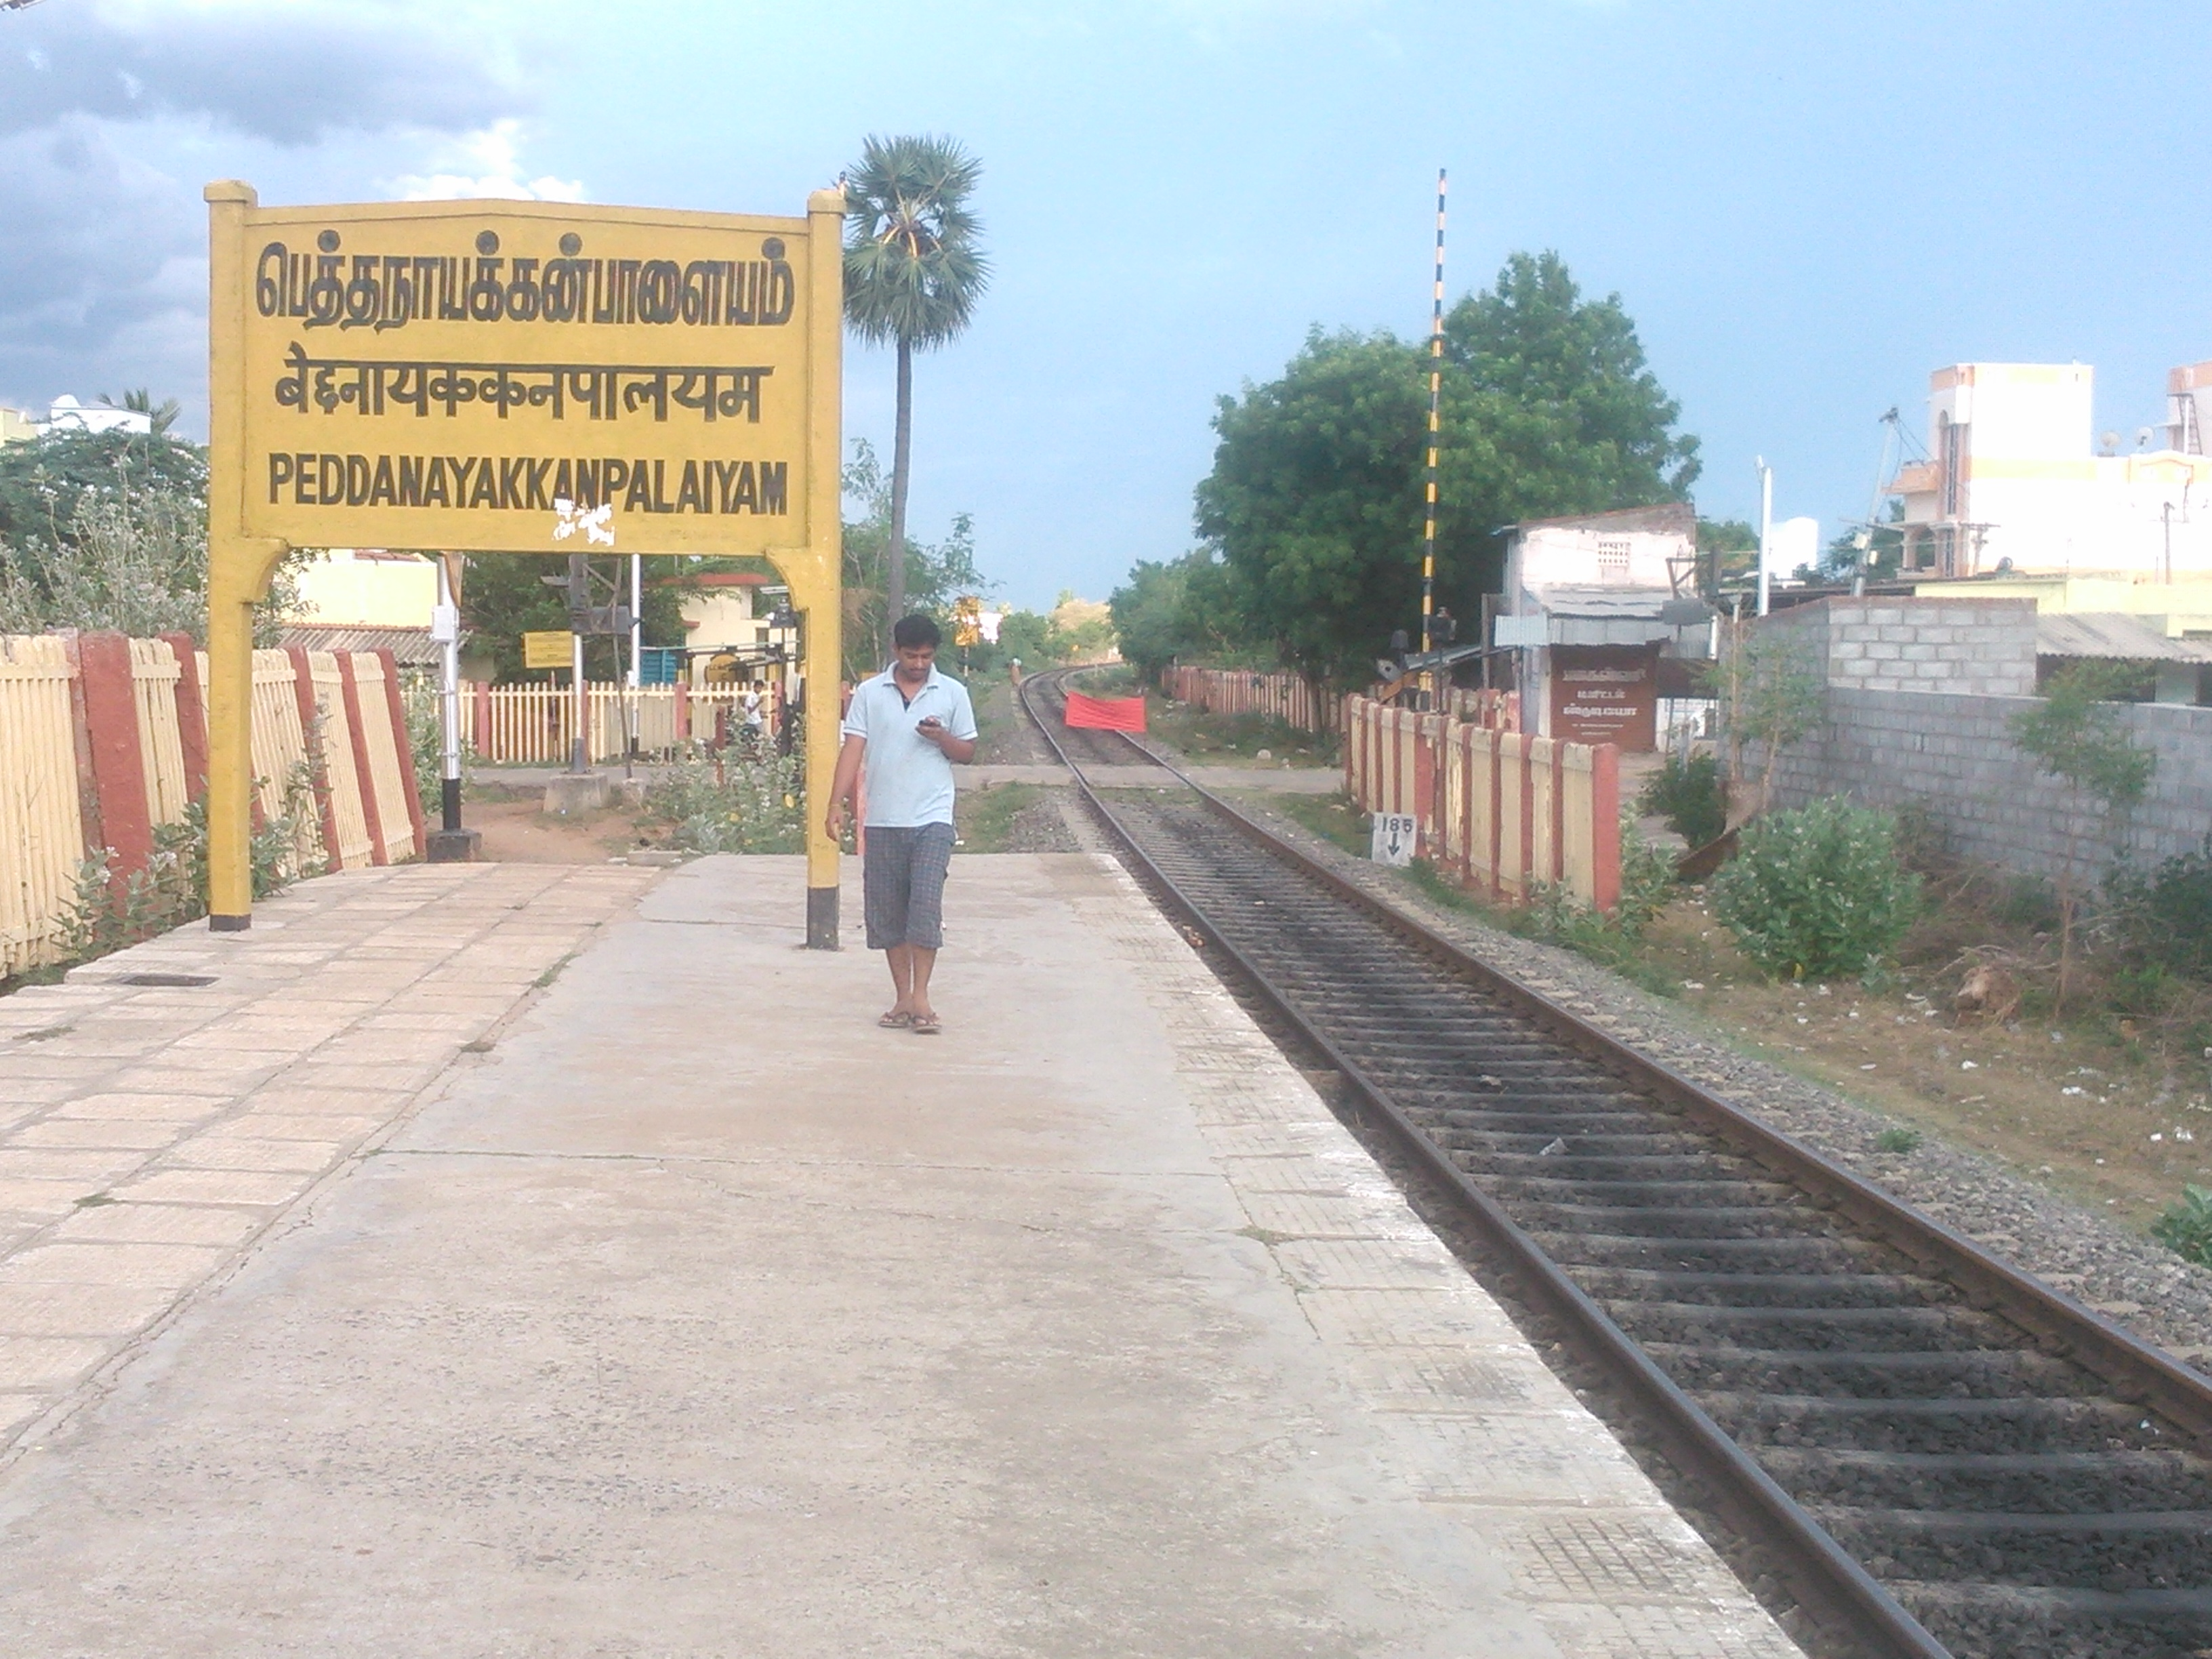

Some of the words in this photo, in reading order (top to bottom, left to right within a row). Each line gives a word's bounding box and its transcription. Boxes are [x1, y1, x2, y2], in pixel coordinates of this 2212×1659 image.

[249, 222, 796, 335] பெத்தநாயக்கன்பாளையம்
[270, 336, 777, 426] बेद्दनायककनपालयम
[264, 449, 790, 518] PEDDANAYAKKANPALAIYAM